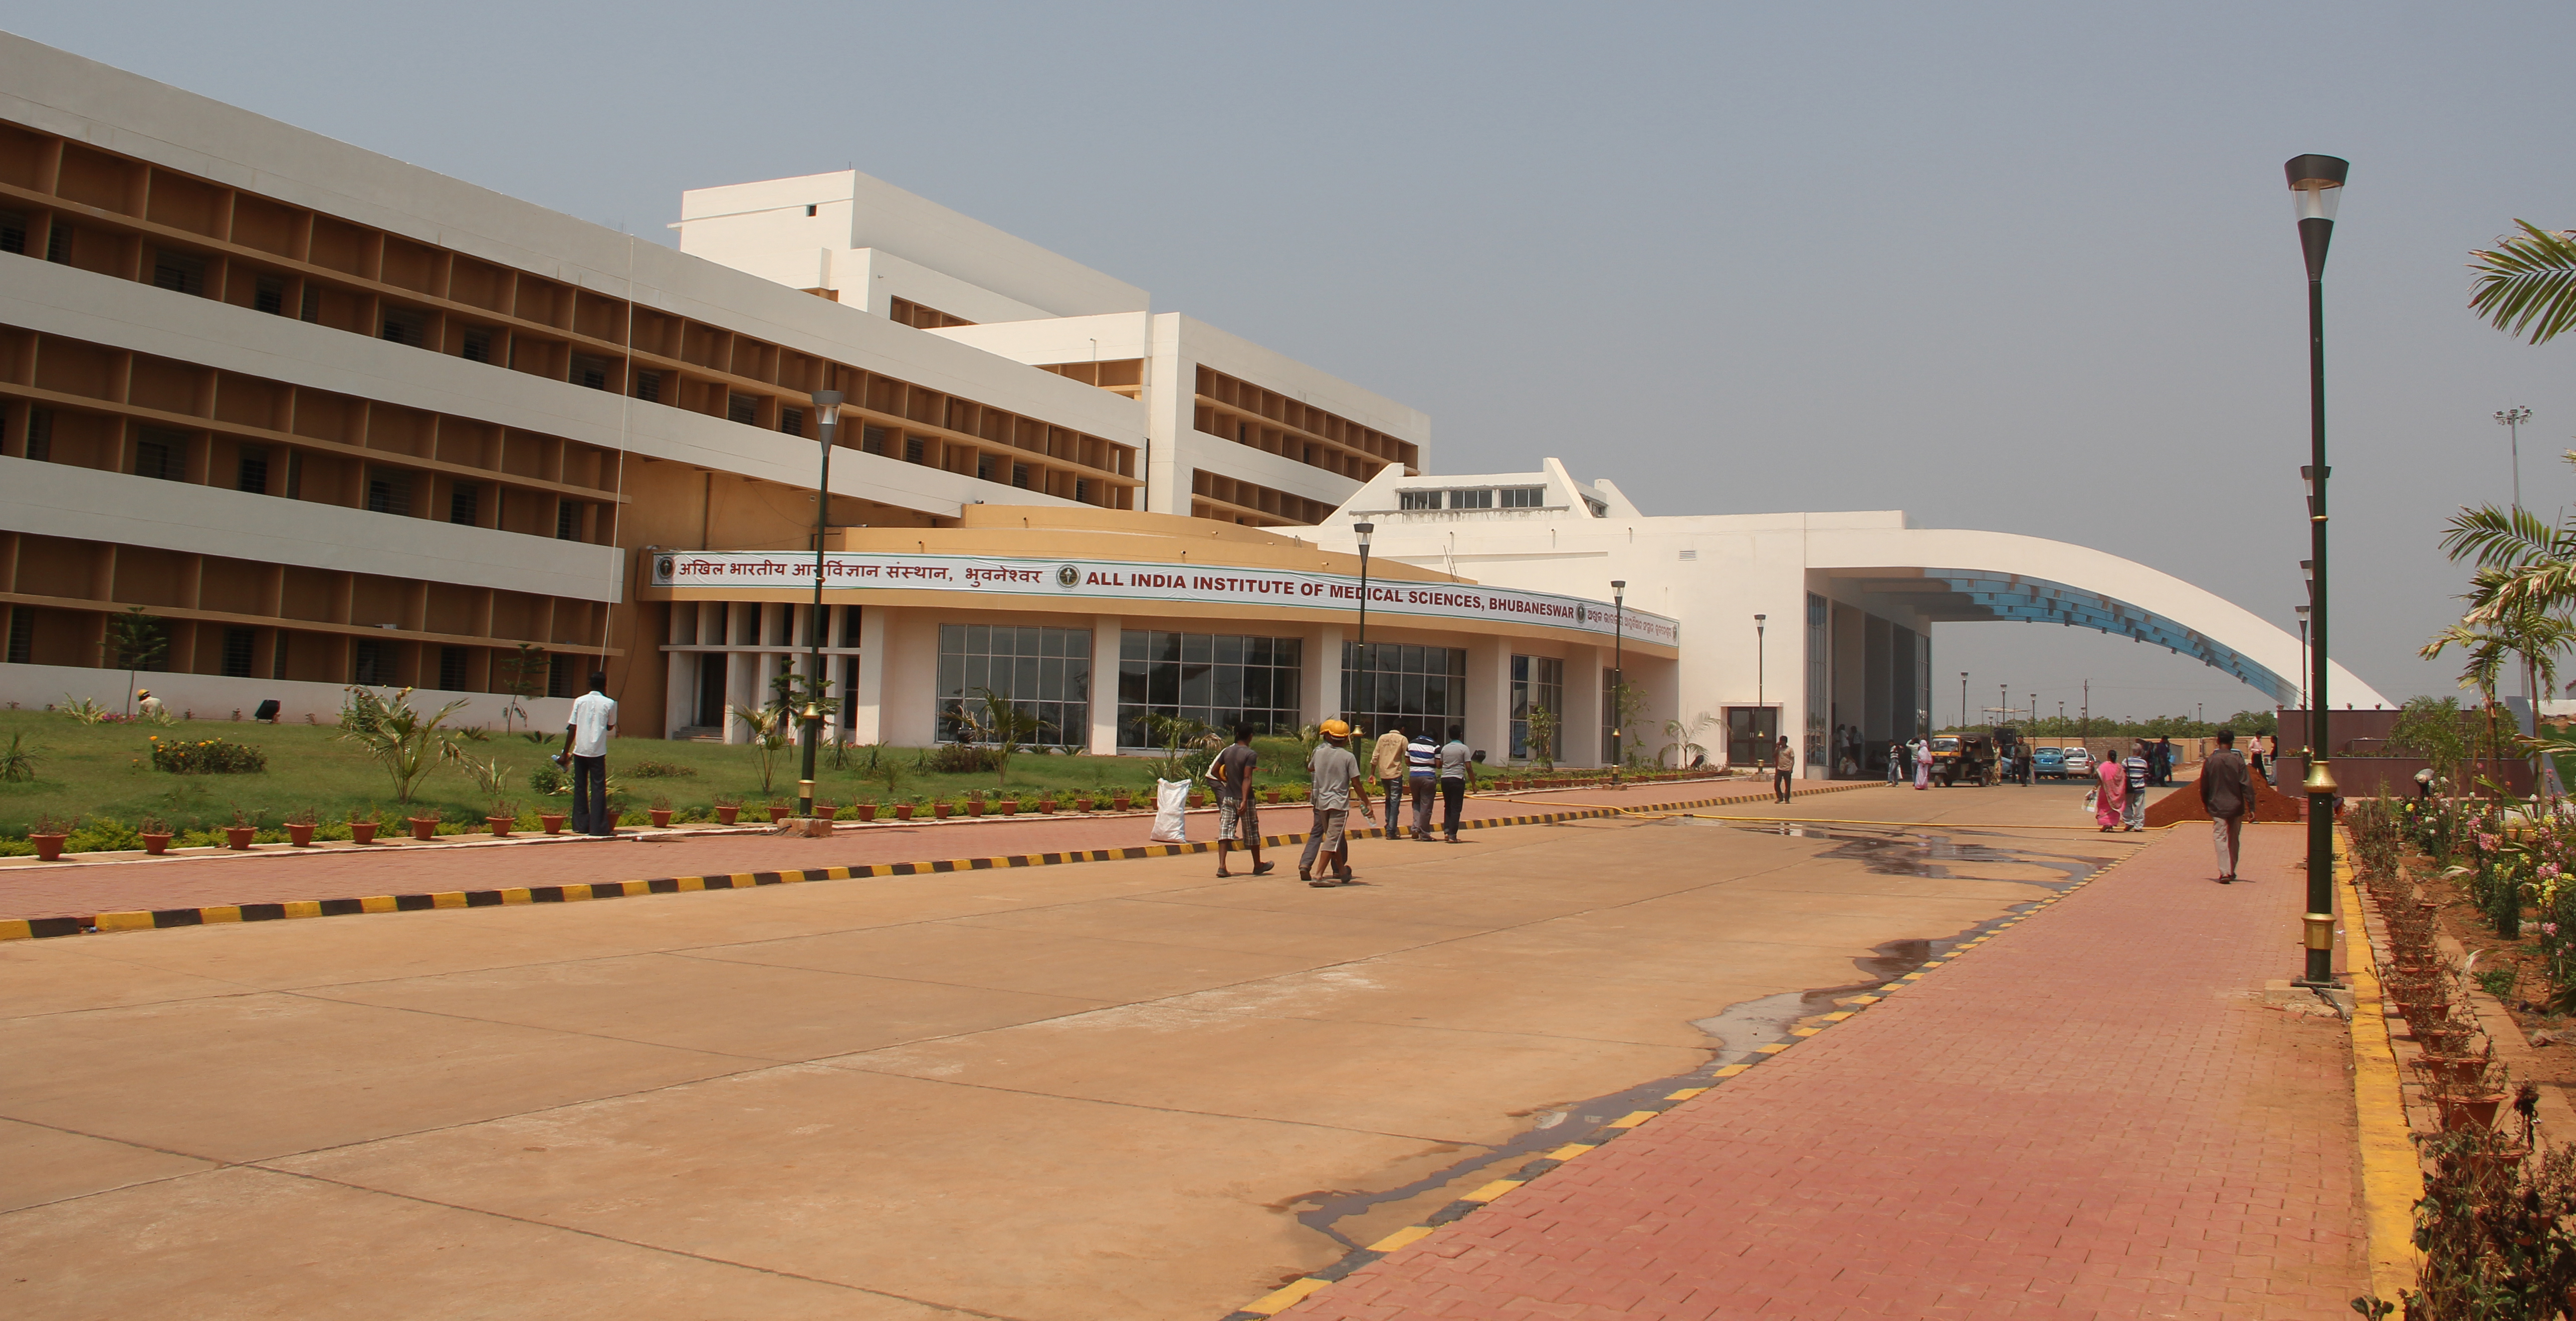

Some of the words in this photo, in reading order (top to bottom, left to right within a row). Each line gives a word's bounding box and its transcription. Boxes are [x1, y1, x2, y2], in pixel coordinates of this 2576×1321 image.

[678, 556, 728, 577] अखि‍ल
[727, 556, 788, 577] भारतीय
[790, 553, 880, 579] आयुर्विज्ञान
[962, 563, 1043, 589] भुवनेश्वर
[1086, 569, 1125, 588] ALL
[1128, 572, 1189, 591] INDIA
[1191, 574, 1296, 597] INSTITUTE
[1299, 580, 1325, 598] OF
[1329, 583, 1404, 604] MEDICAL
[1407, 589, 1483, 612] SCIENCES,
[1488, 597, 1576, 621] BHUBANESWAR
[1585, 605, 1604, 626] ଅଖିଲ